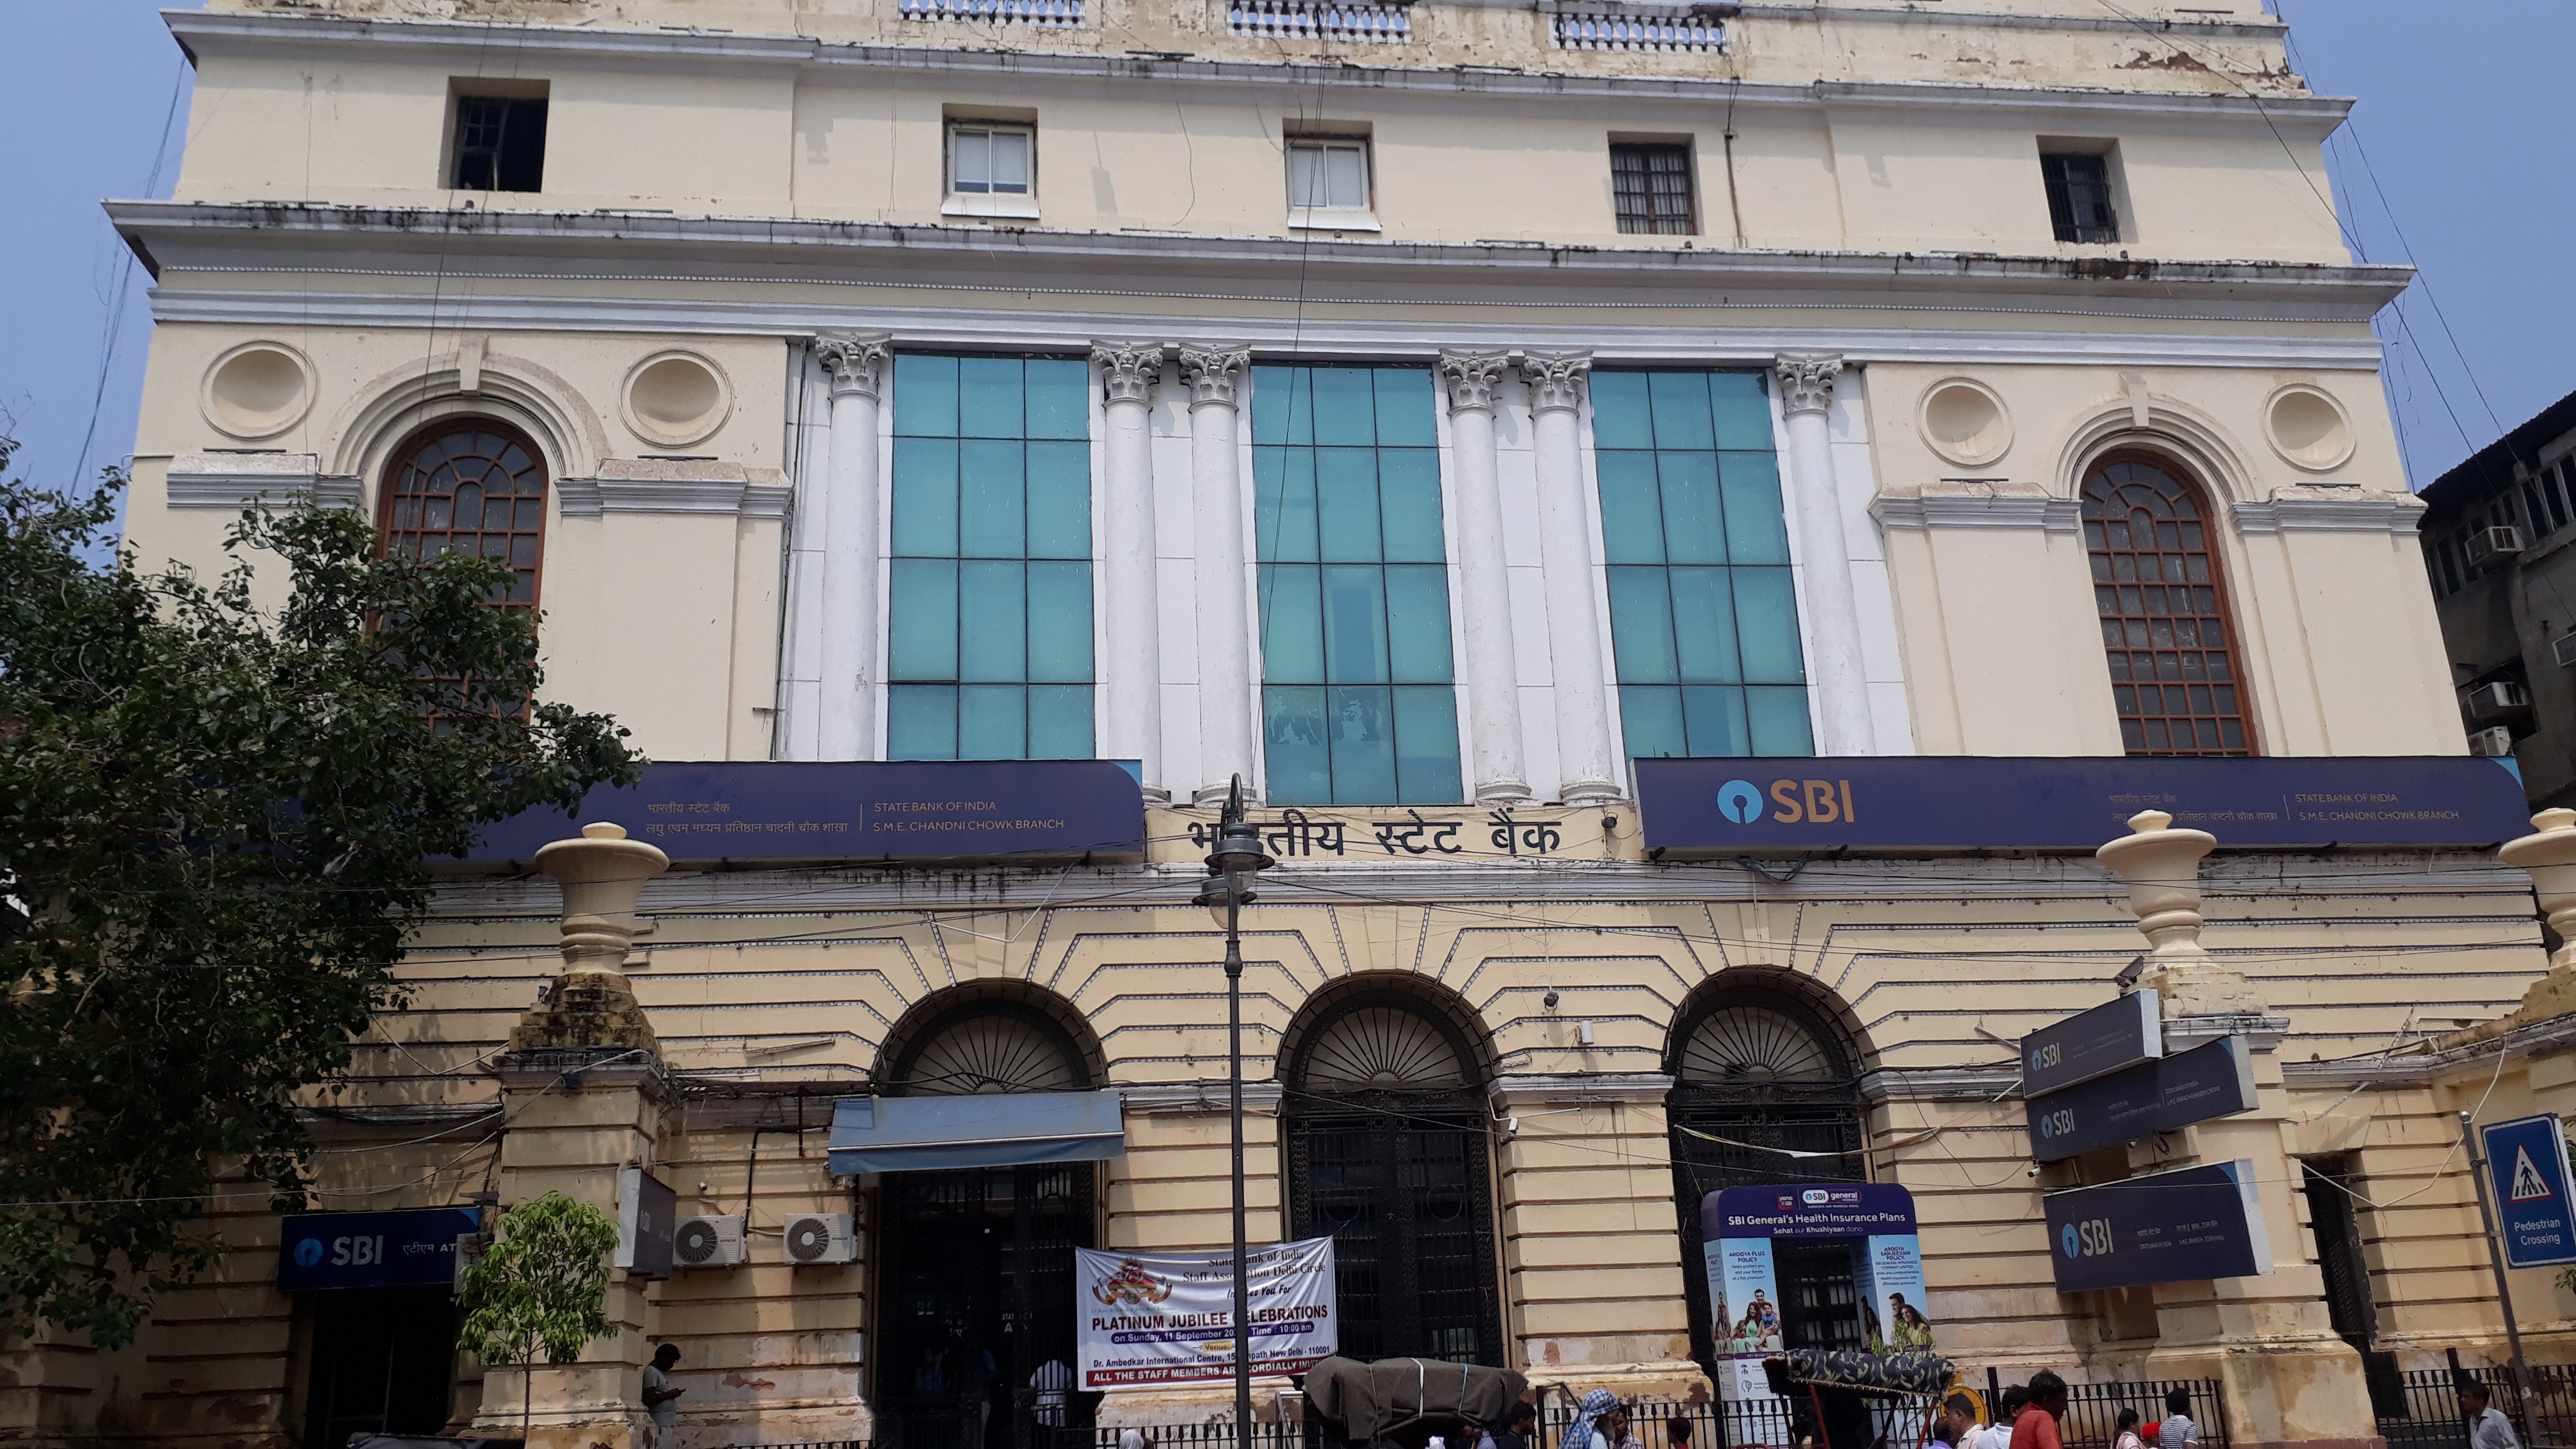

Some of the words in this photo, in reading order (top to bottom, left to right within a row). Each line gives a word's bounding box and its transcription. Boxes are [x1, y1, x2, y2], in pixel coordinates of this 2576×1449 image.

[644, 798, 687, 814] भारतीय
[687, 798, 711, 816] स्‍टेट
[708, 799, 734, 814] बैंक
[871, 801, 911, 814] STATE
[910, 799, 945, 815] BANK
[944, 799, 964, 814] OF
[963, 799, 999, 813] INDIA
[1759, 770, 1861, 831] SBI
[2104, 789, 2142, 807] भारतीय
[2140, 790, 2165, 807] स्टेट
[2160, 790, 2179, 806] बैंक
[2172, 806, 2212, 825] प्रतिष्ठान
[2207, 807, 2237, 824] चांदनी
[2234, 806, 2256, 824] चौक
[2252, 809, 2281, 823] शाखा
[2290, 788, 2328, 805] STATE
[2295, 808, 2330, 825] S.M.E.
[2324, 791, 2354, 807] BANK
[2325, 807, 2379, 824] CHANDNI
[2350, 791, 2369, 803] OF
[2368, 791, 2401, 807] INDIA
[2374, 807, 2419, 824] CHOWK
[2414, 808, 2462, 821] BRANCH
[645, 822, 666, 838] लघु
[667, 822, 691, 837] एवम्
[691, 822, 723, 835] मध्‍यम
[723, 818, 764, 836] प्रतिष्ठान
[766, 816, 797, 834] चांदनी
[798, 817, 821, 833] चौक
[821, 819, 849, 835] शाखा
[871, 819, 909, 834] S.M.E.
[907, 819, 968, 833] CHANDNI
[965, 818, 1015, 832] CHOWK
[1013, 818, 1066, 832] BRANCH
[1186, 802, 1348, 859] भारतीय
[1370, 805, 1465, 858] स्टेट
[1485, 804, 1563, 857] बैंक
[2037, 1034, 2062, 1071] SBI
[2049, 1102, 2079, 1139] ५०।
[2510, 1215, 2564, 1233] Pedestrian
[2073, 1212, 2115, 1262] SBI
[2515, 1230, 2565, 1249] Crossing
[322, 1226, 391, 1270] SBI
[1180, 1269, 1211, 1284] Staff
[1207, 1256, 1236, 1269] State
[1209, 1265, 1270, 1282] Association
[1264, 1249, 1280, 1264] of
[1273, 1261, 1300, 1277] Delhi
[1279, 1247, 1305, 1261] India
[1299, 1260, 1327, 1276] Circle
[1259, 1285, 1277, 1298] You
[1110, 1334, 1126, 1345] on
[1090, 1314, 1165, 1332] PLATINUM
[1126, 1332, 1161, 1346] Sunday,
[1161, 1332, 1176, 1343] 11
[1168, 1310, 1229, 1330] JUBILEE
[1173, 1329, 1224, 1343] September
[1249, 1325, 1275, 1337] Time
[1232, 1302, 1328, 1327] CELEBRATIONS
[1091, 1356, 1145, 1368] Dr.Ambedkar
[1144, 1354, 1196, 1366] International
[1196, 1352, 1224, 1364] Centre,
[1249, 1349, 1270, 1362] path
[1269, 1348, 1287, 1359] New
[1286, 1345, 1305, 1357] Delhi
[1307, 1344, 1332, 1356] 110001
[1091, 1370, 1114, 1384] ALL
[1113, 1368, 1138, 1382] ५५६।
[1138, 1368, 1169, 1381] STAFF
[1169, 1366, 1221, 1378] MEMBERS